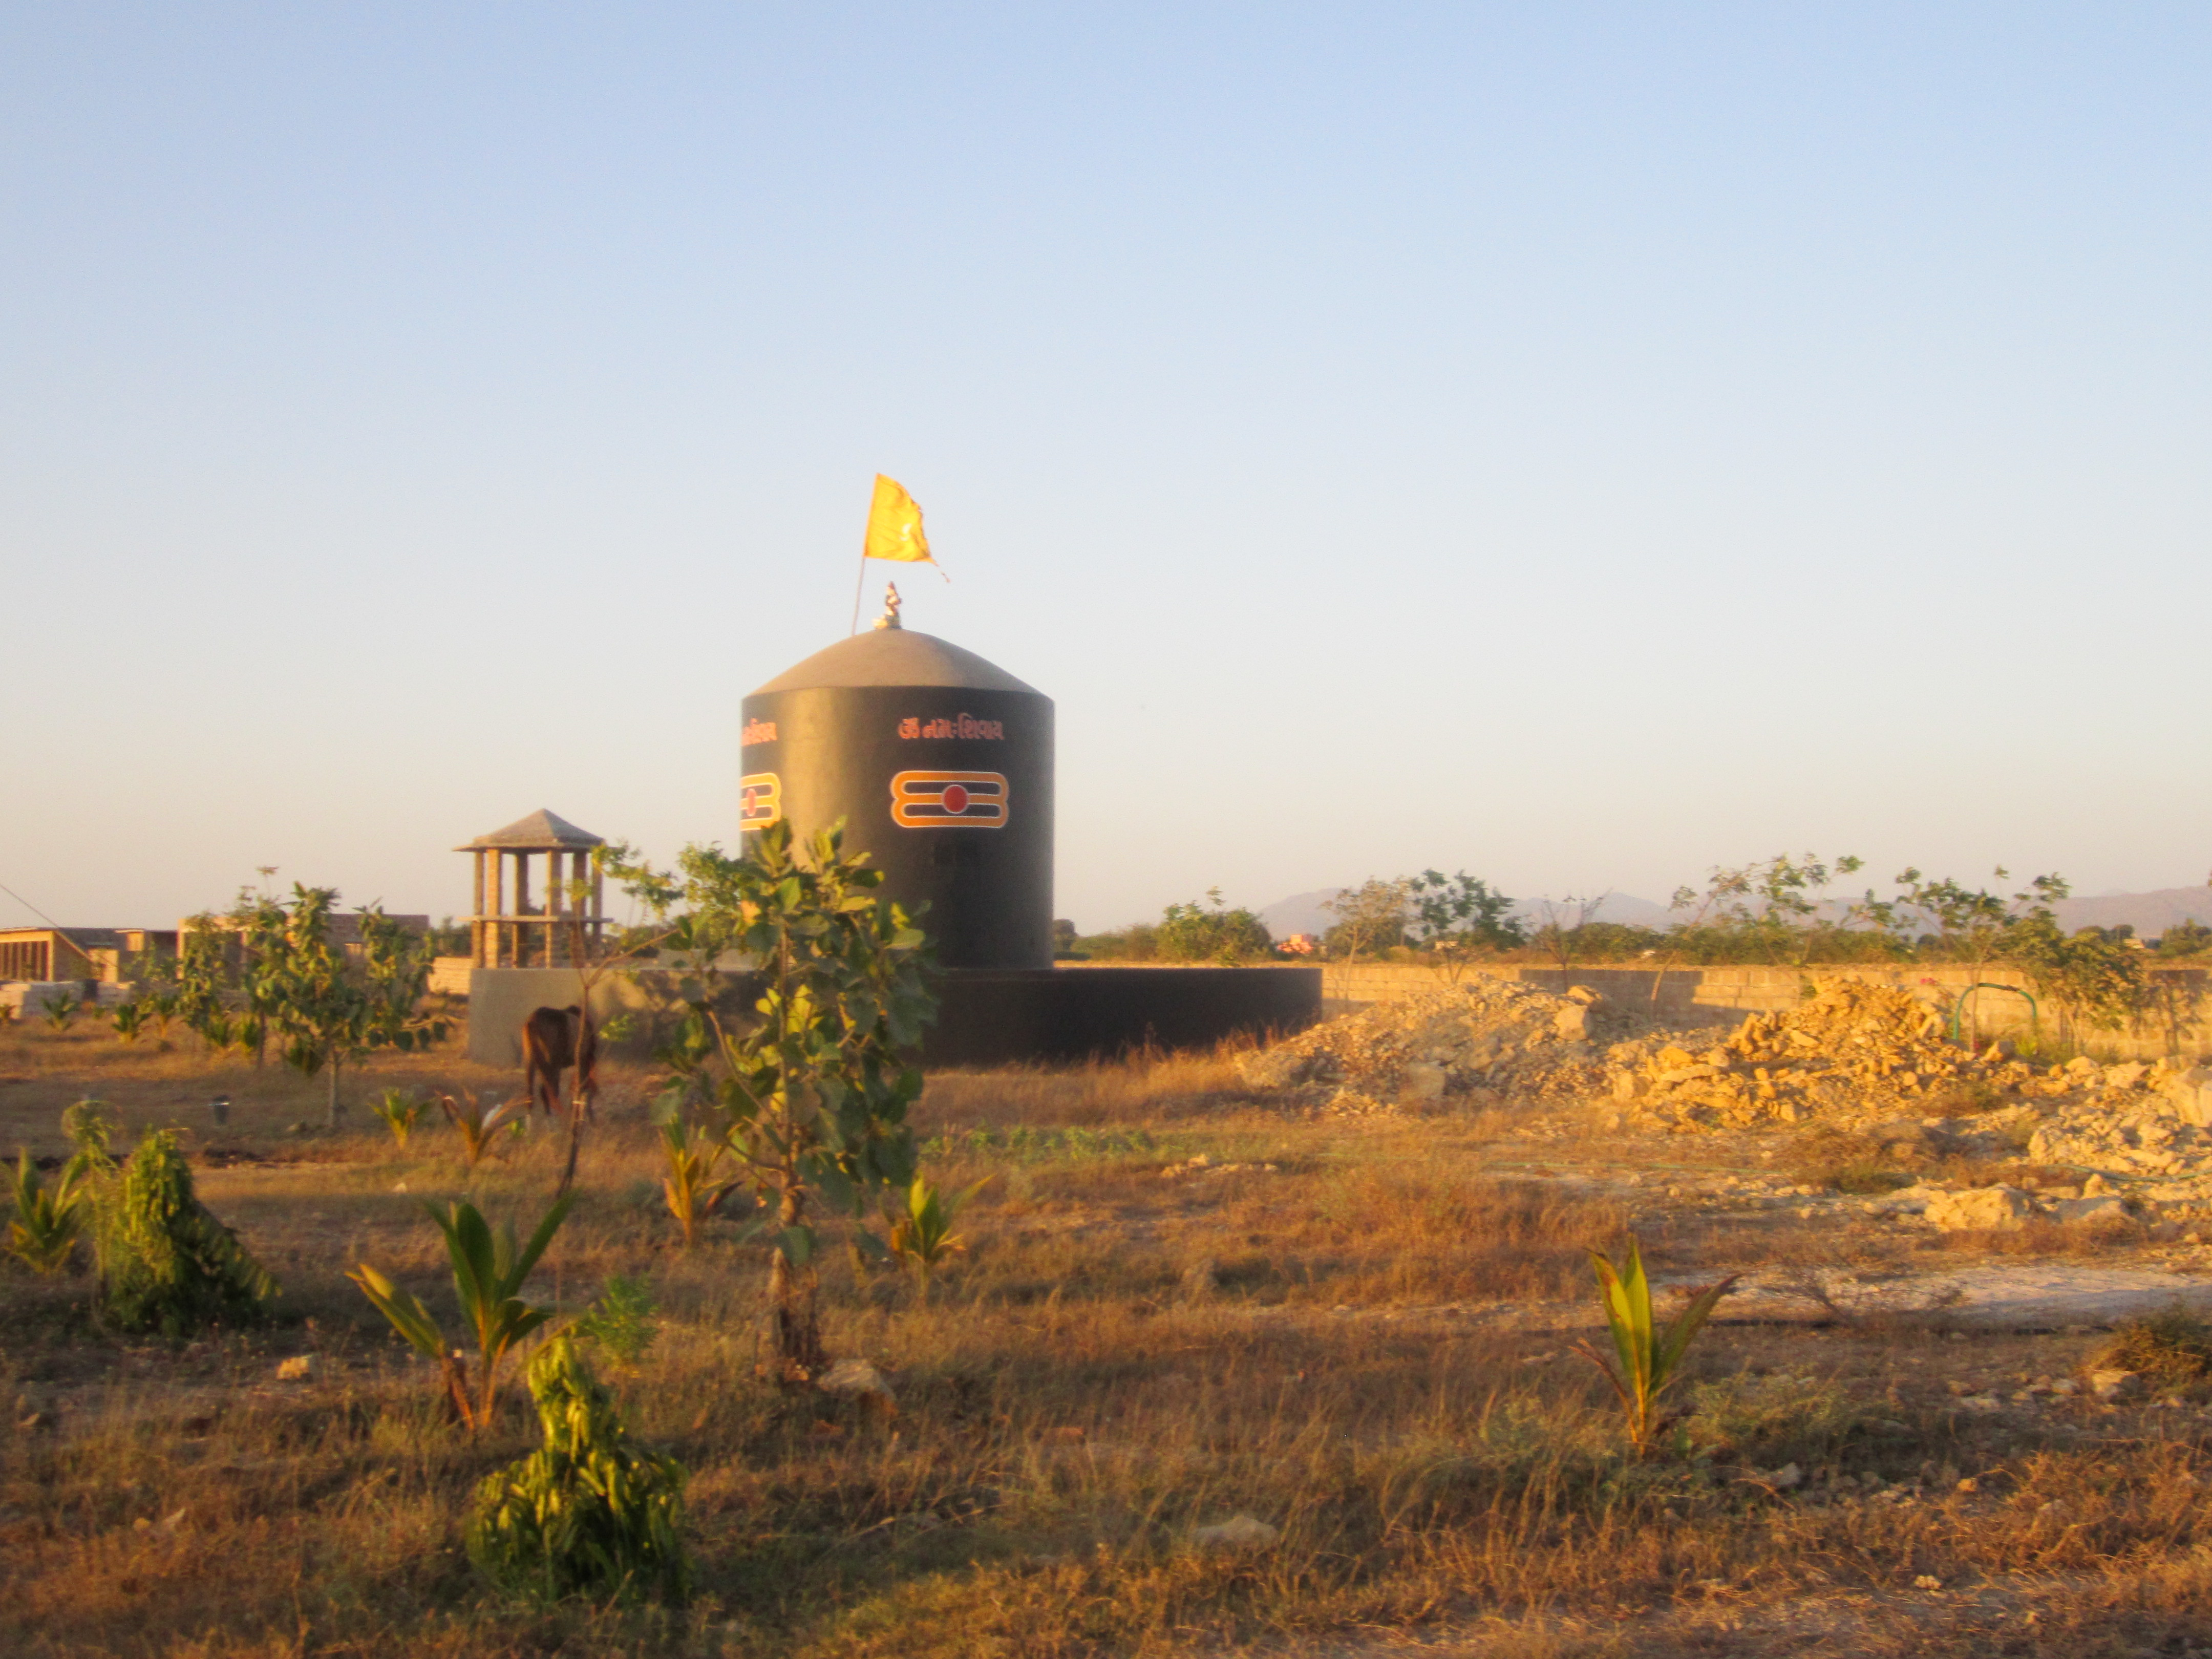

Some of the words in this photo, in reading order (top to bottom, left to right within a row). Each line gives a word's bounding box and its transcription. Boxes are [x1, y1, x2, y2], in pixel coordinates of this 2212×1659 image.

[897, 712, 1008, 749] ૐ નમઃશિવાય